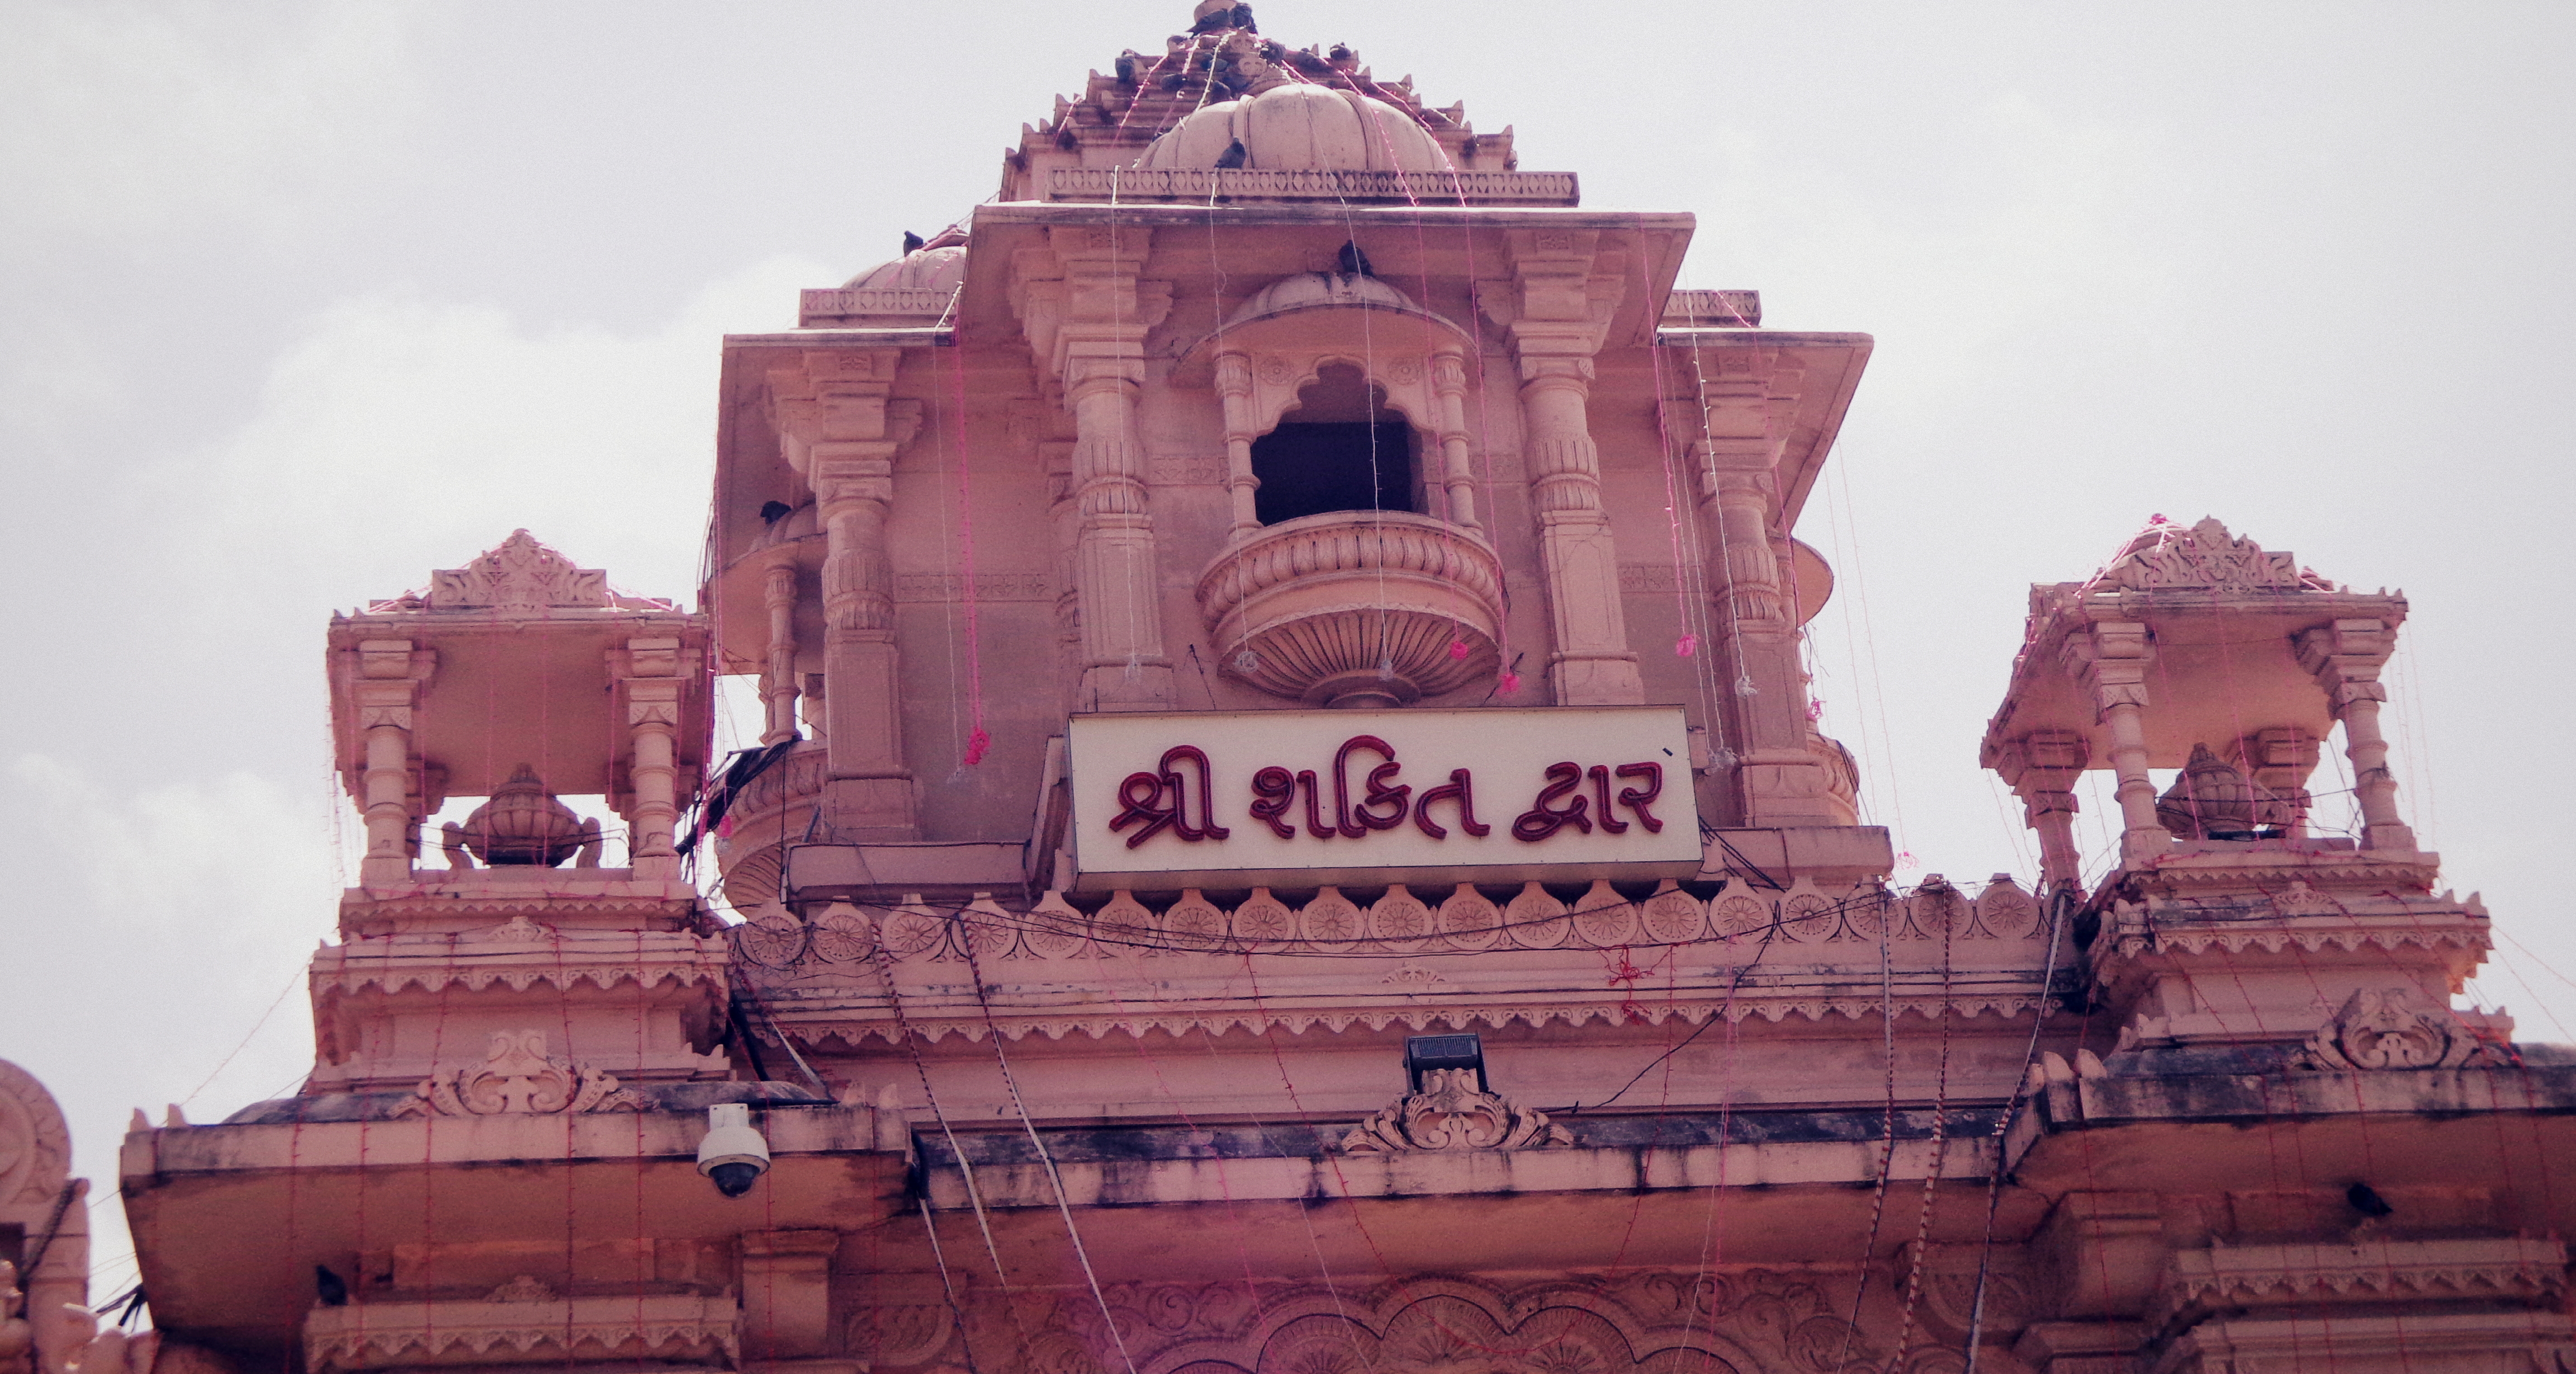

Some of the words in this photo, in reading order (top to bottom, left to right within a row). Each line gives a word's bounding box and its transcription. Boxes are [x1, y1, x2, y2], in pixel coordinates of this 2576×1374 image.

[1096, 734, 1237, 859] શ્રી
[1240, 732, 1491, 848] શકિત
[1513, 750, 1670, 846] દ્વાર